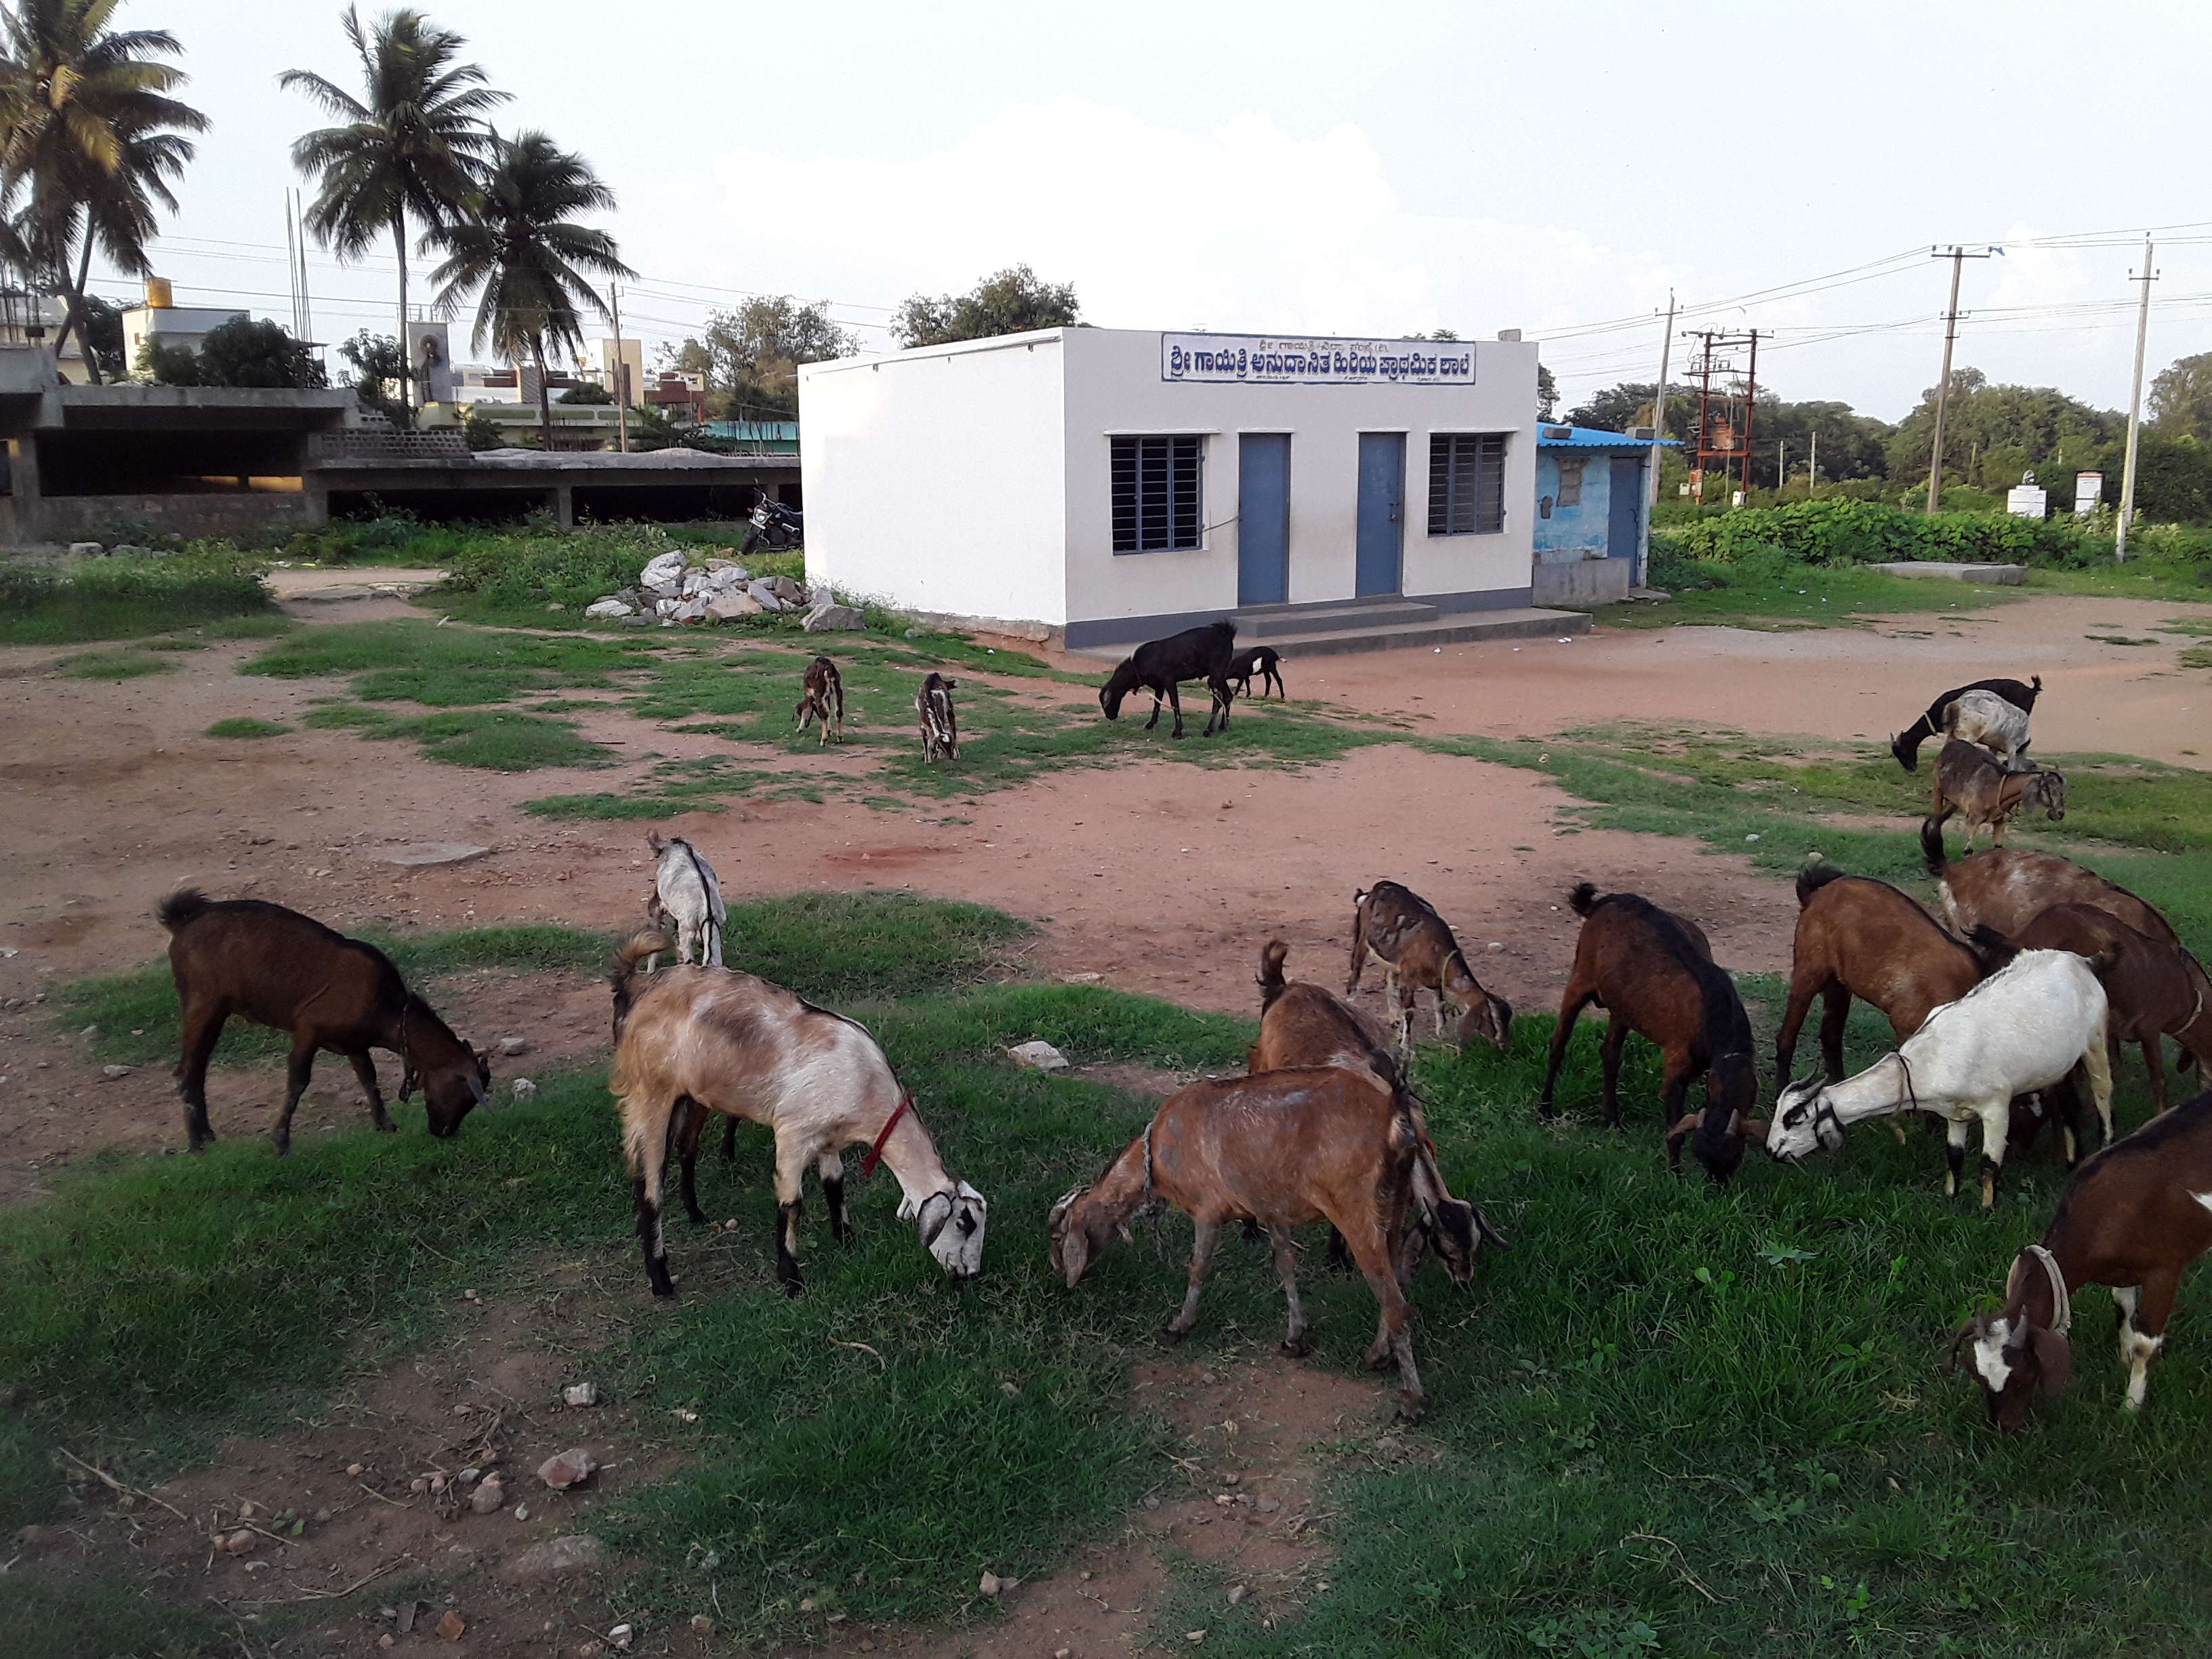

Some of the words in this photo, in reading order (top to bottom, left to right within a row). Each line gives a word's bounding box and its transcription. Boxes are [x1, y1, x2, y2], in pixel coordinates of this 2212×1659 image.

[1252, 334, 1279, 356] ಶ್ರೀ
[1166, 339, 1251, 383] ಶ್ರೀಗಾಯಿತ್ರ
[1242, 348, 1333, 377] ಅನುದಾನಿತ
[1326, 348, 1380, 377] ಹಿರಿಯ
[1376, 350, 1439, 383] ಪ್ರಾಥಮಿಕ
[1437, 350, 1474, 380] ಶಾಳ